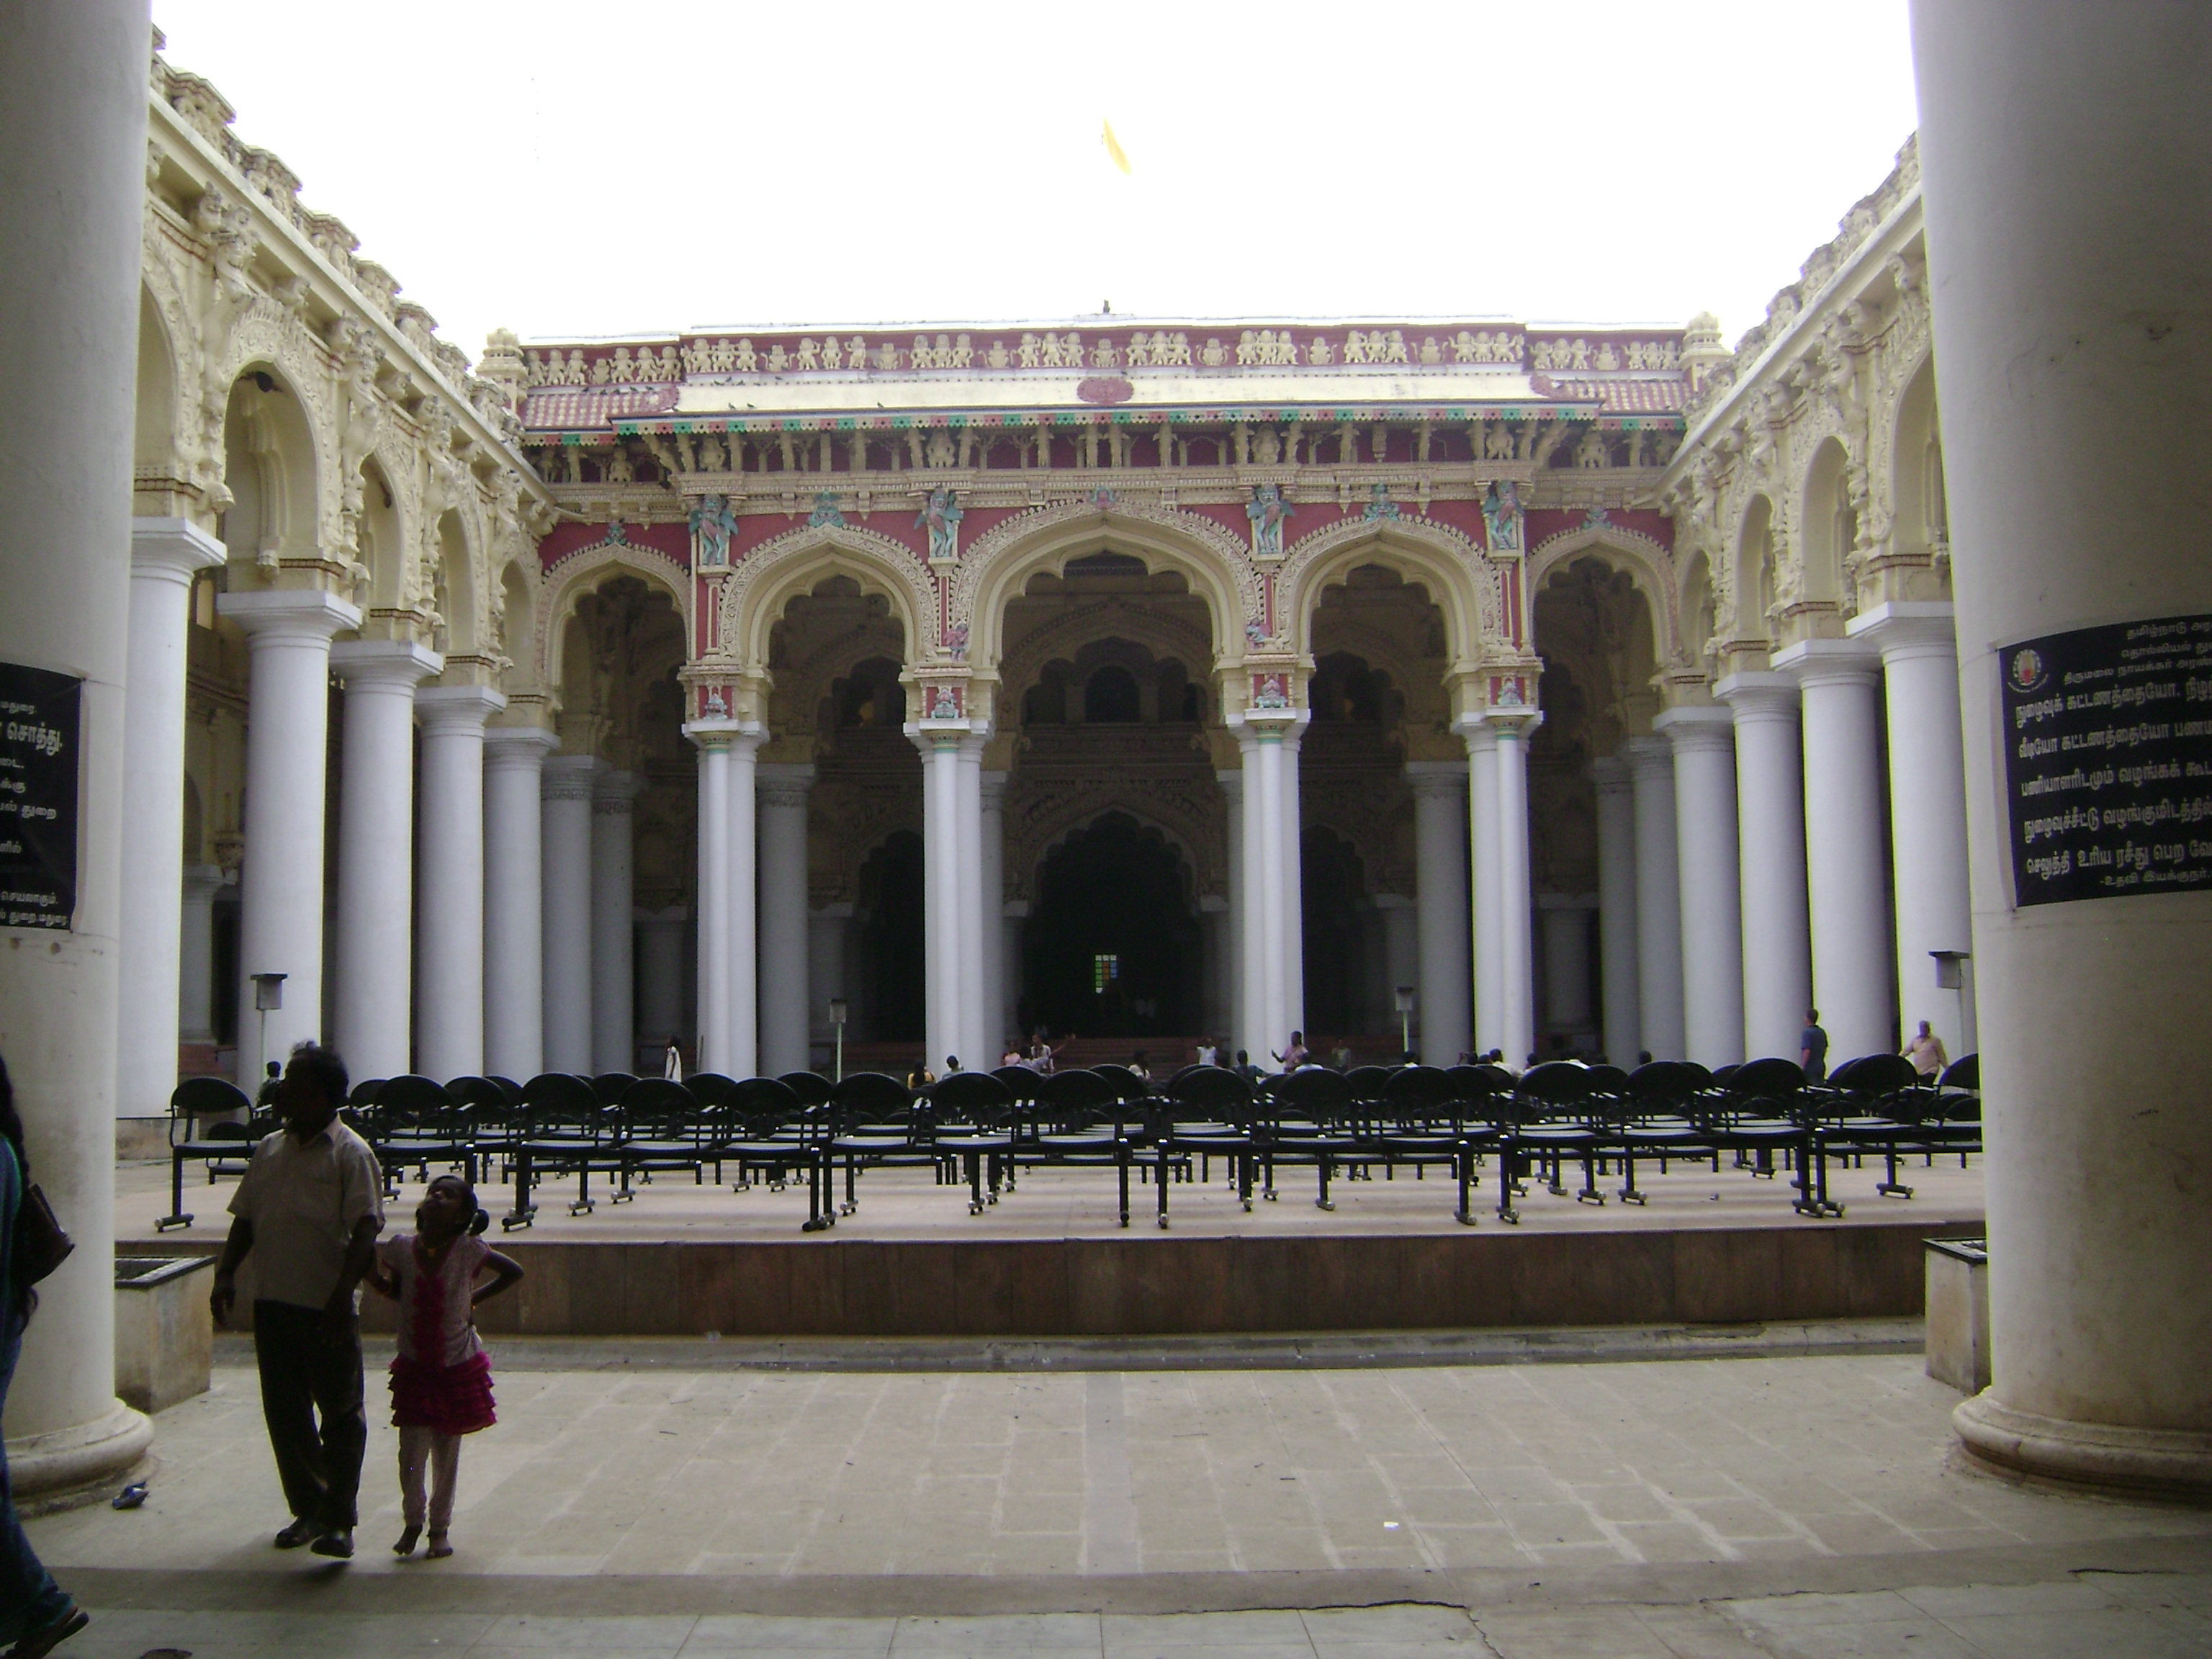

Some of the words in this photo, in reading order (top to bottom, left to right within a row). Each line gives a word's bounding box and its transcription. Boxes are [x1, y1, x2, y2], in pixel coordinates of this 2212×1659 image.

[2057, 664, 2122, 688] தி௫மலை
[2012, 688, 2069, 734] நுழைவுக்
[2064, 680, 2183, 717] கட்டணத்தையோ,
[1, 717, 66, 760] சொத்து,
[2010, 729, 2063, 765] வீடியோ
[2057, 719, 2175, 756] கட்டணத்தையோ
[2015, 760, 2119, 801] பணியாளரிடமும்
[2115, 756, 2188, 792] வழங்கக்
[17, 801, 58, 825] துறை
[2020, 799, 2105, 848] நுலழவச்சீட்டு
[2100, 793, 2211, 831] வழங்குமிடத்தில்
[2022, 845, 2076, 882] எசலுத்தி
[2072, 836, 2152, 874] உாிய ரசீது
[2099, 864, 2143, 894] உதவி
[2148, 840, 2190, 867] பெற
[2136, 862, 2211, 890] இயக்குநர்
[1, 886, 62, 911] செயலாகும்